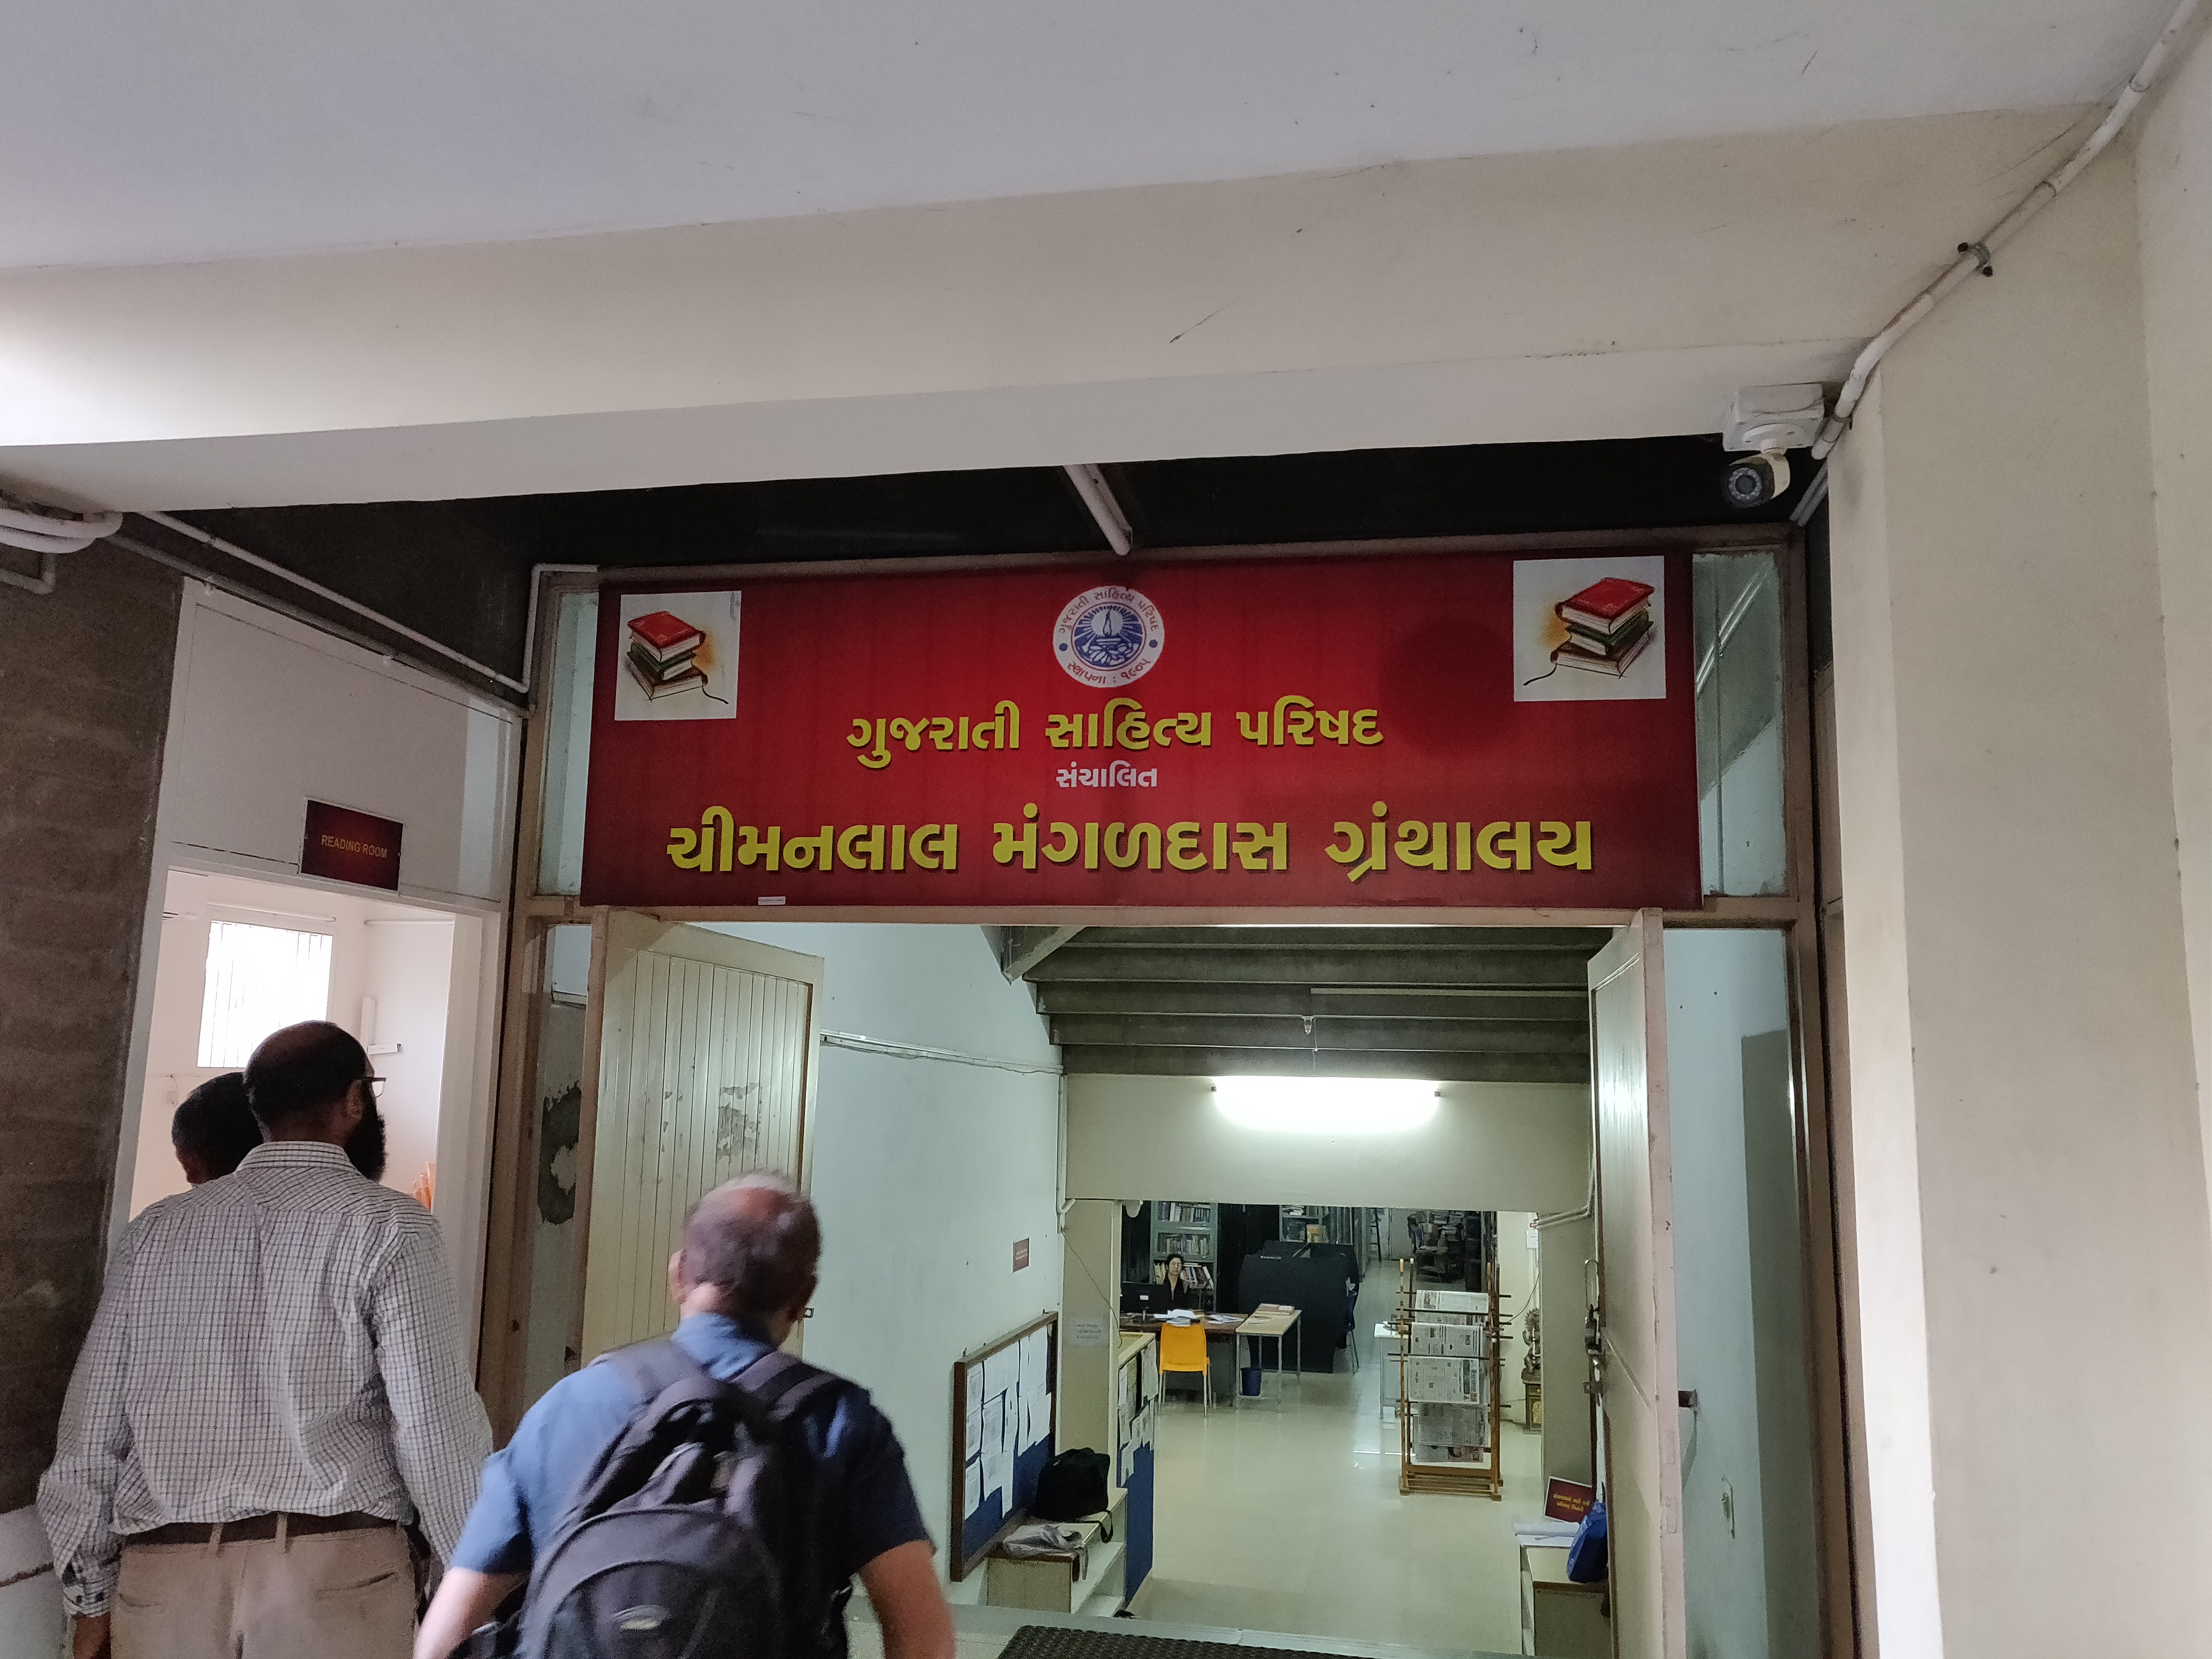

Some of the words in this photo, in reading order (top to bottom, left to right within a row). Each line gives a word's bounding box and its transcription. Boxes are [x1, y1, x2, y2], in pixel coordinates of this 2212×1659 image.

[847, 699, 1021, 769] ગુજરાતી
[1046, 699, 1217, 753] સાહિત્ય
[1229, 686, 1393, 757] પરિષદ
[1045, 757, 1166, 793] સંચાલિત
[319, 830, 363, 855] READING
[359, 839, 391, 862] ROOM
[659, 797, 962, 881] ચીમનલાલ
[985, 797, 1294, 885] મંગળદાસ
[1318, 798, 1601, 887] ગ્રંથાલય